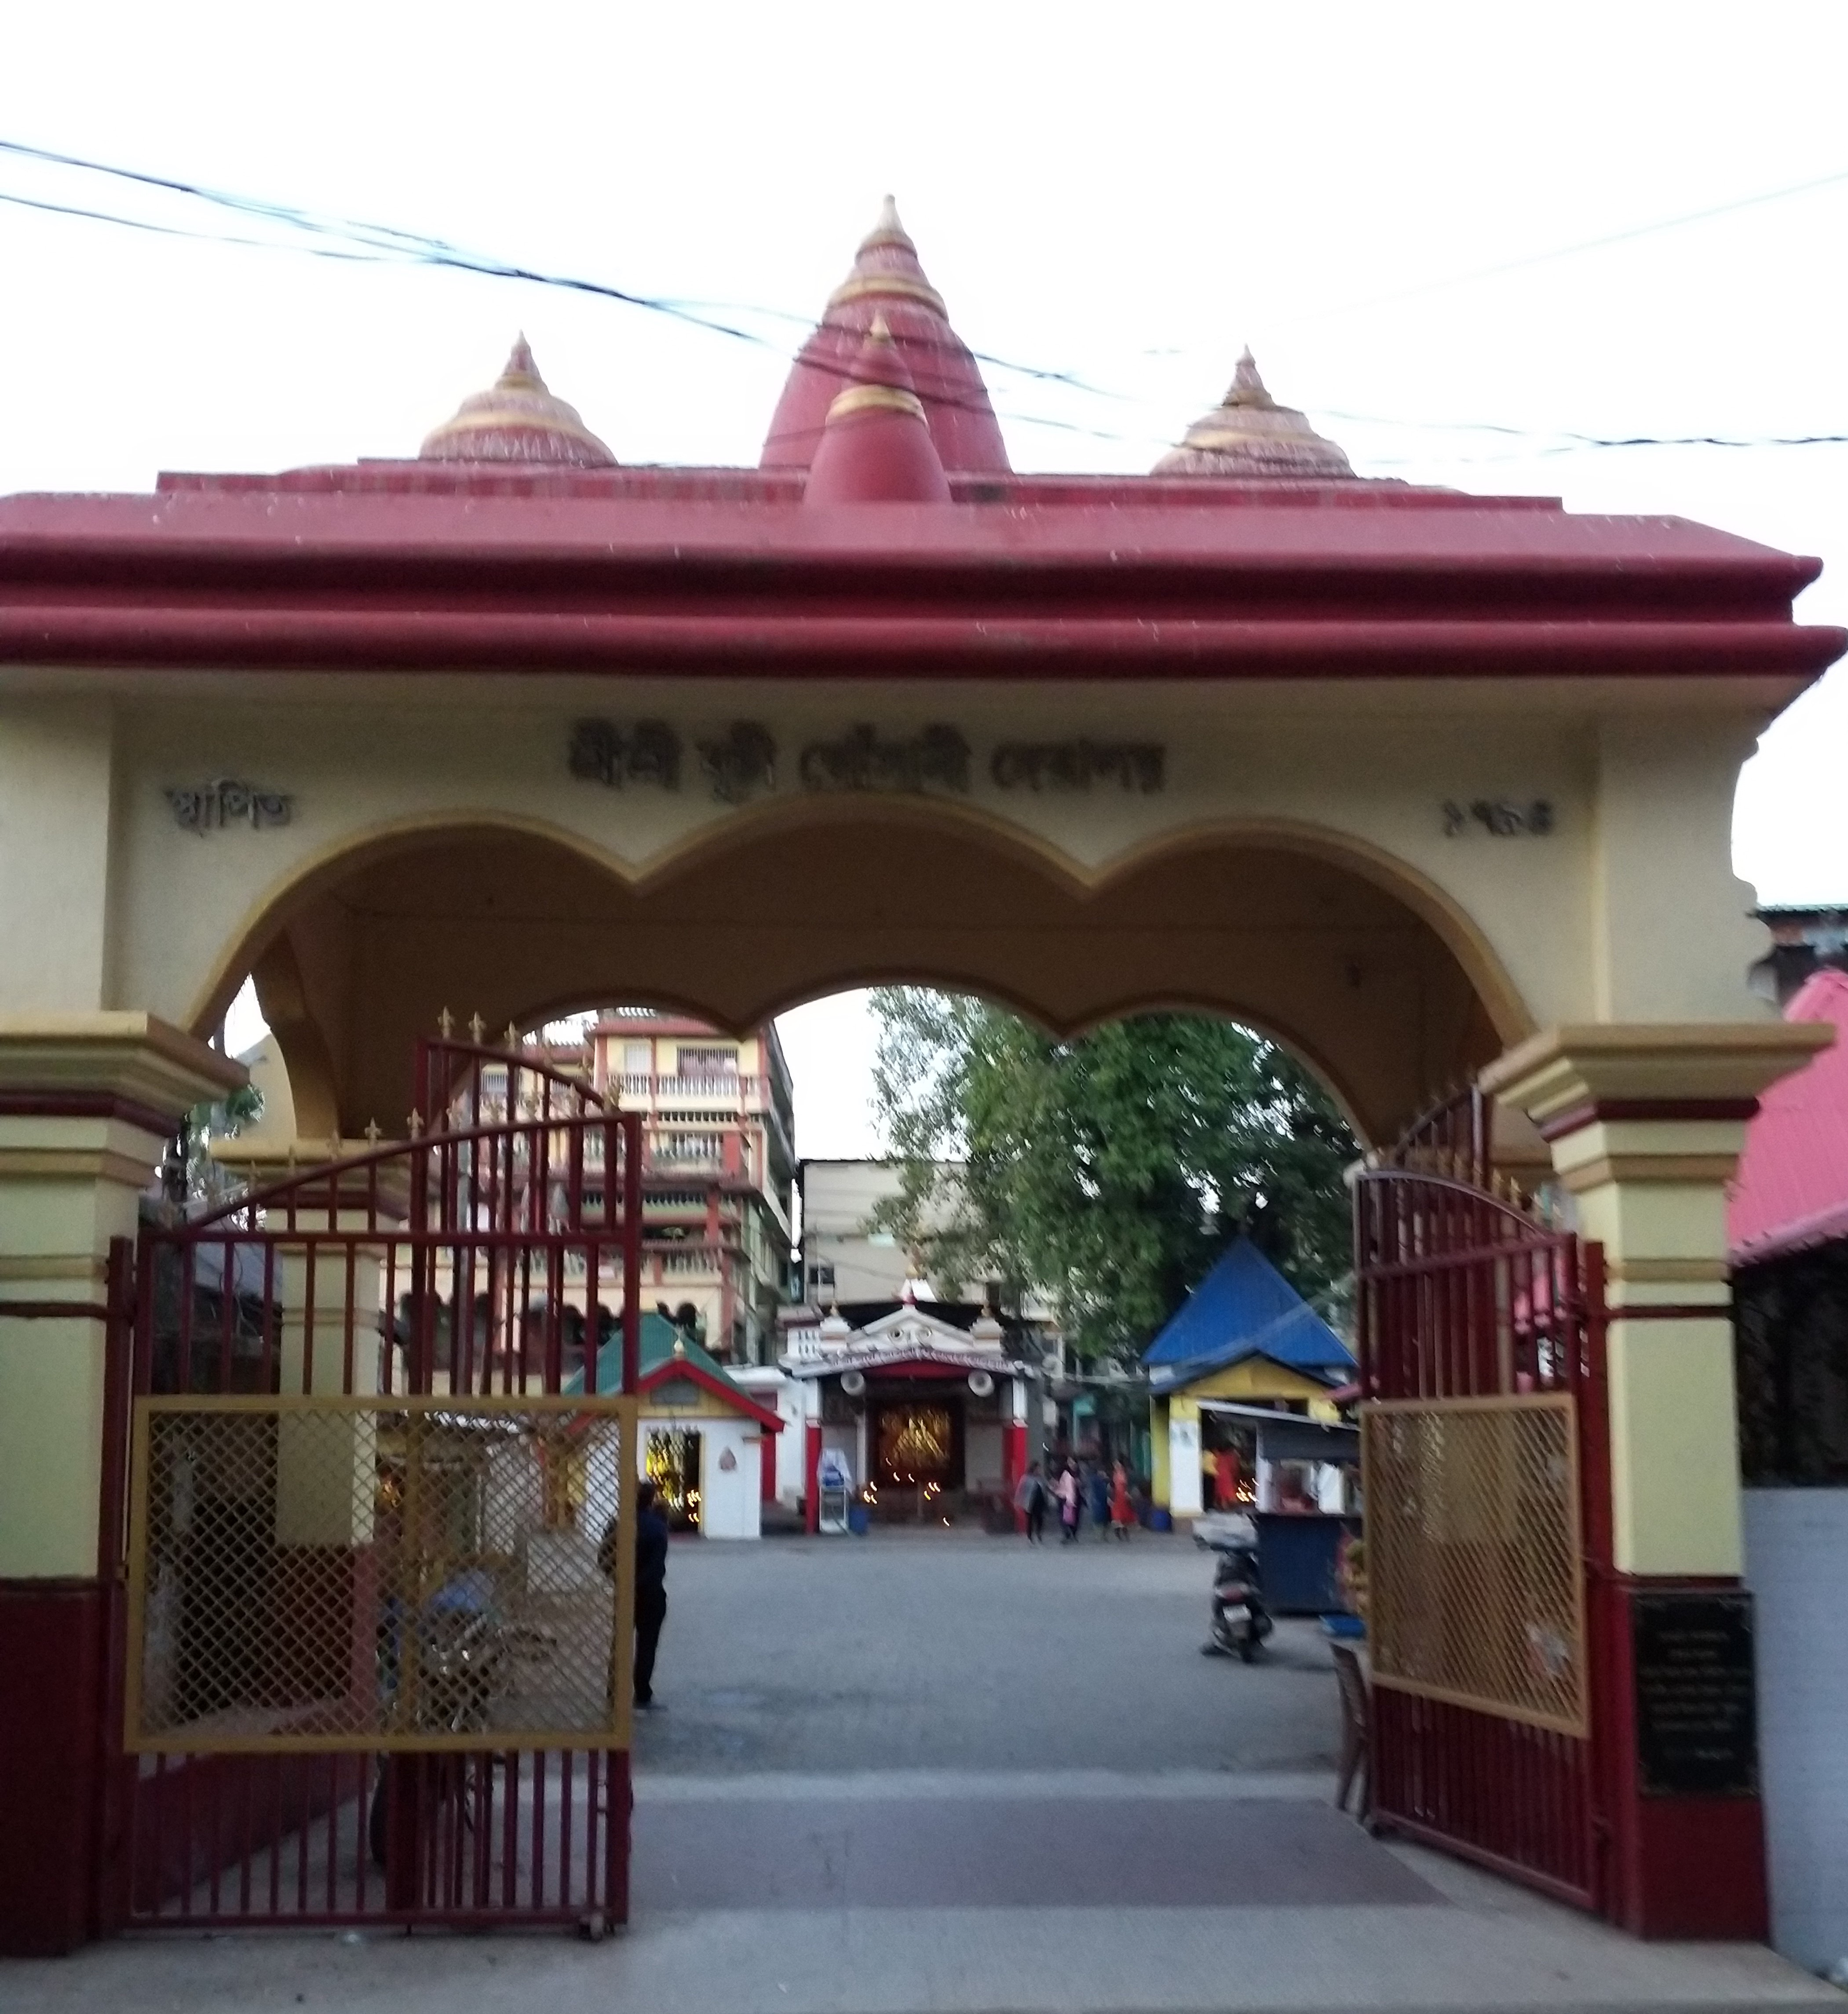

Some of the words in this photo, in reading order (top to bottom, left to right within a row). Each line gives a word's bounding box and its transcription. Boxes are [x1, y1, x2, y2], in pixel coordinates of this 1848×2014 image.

[561, 697, 698, 797] শ্রীশ্রী
[161, 772, 294, 840] স্থপিত